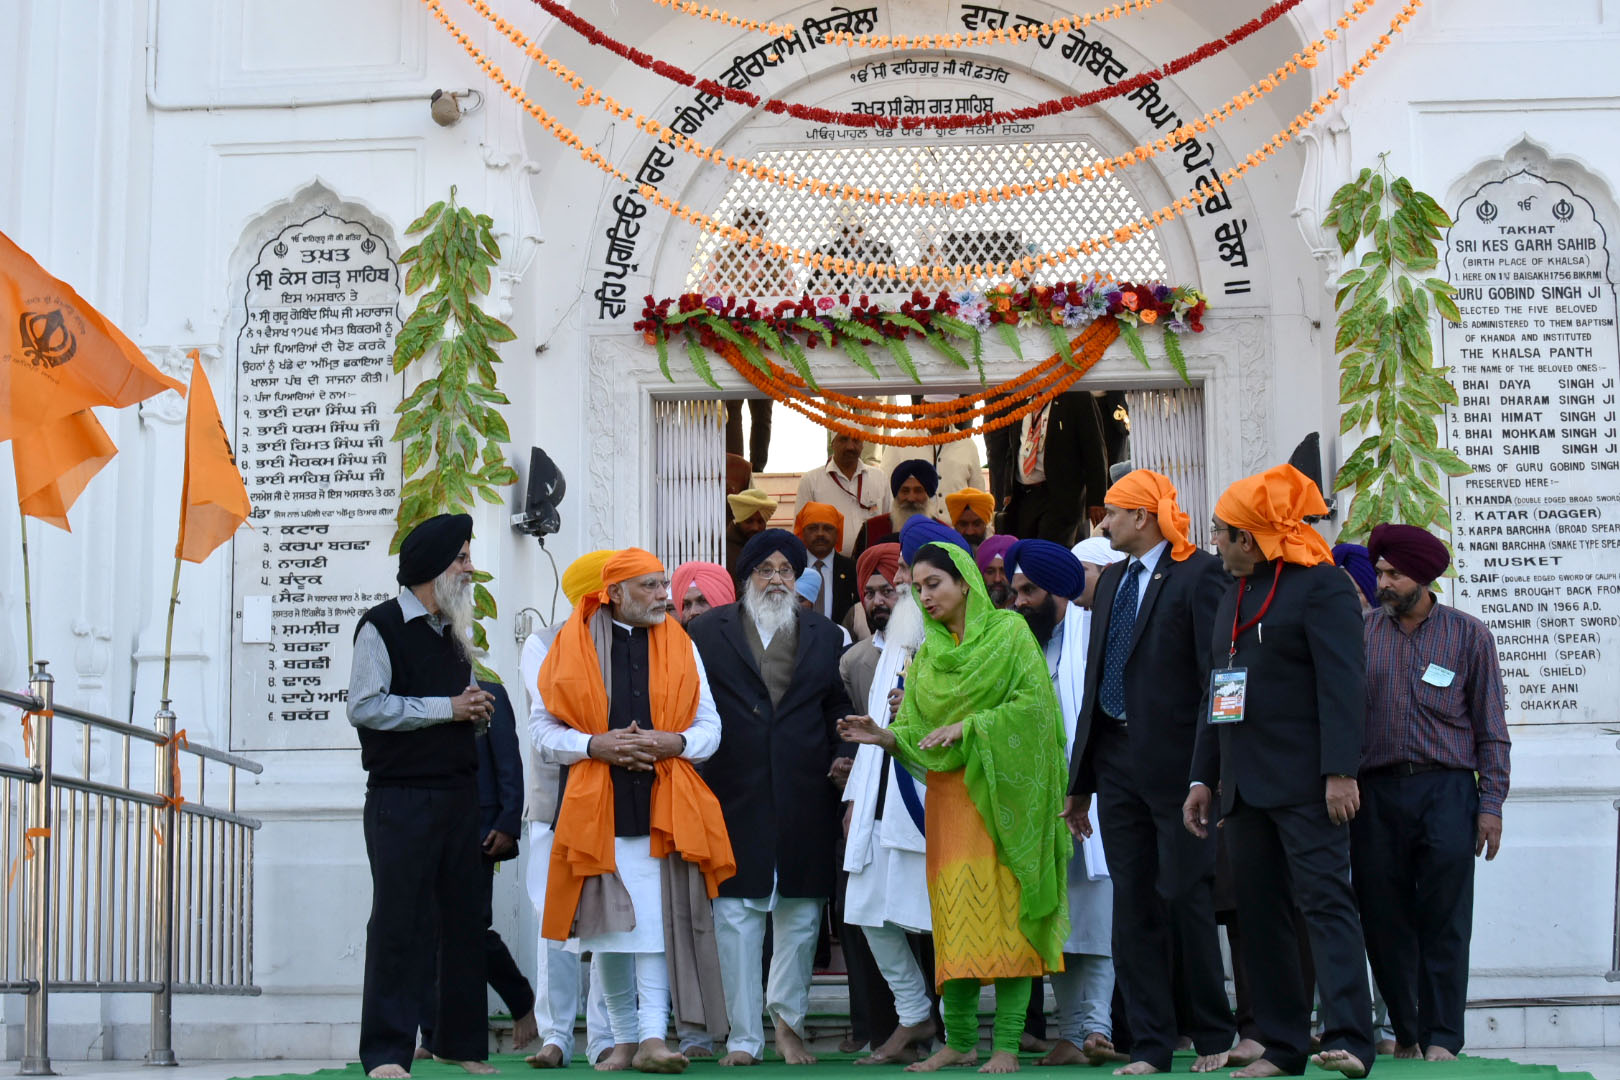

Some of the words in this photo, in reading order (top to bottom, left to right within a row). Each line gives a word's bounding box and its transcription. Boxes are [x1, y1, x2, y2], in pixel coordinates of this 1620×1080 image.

[955, 0, 1015, 35] ਵਾਹ
[1058, 24, 1132, 86] ਗੇਬਿੰਦ
[844, 59, 877, 87] ੴ
[868, 59, 892, 82] ਸੀ
[887, 55, 943, 80] ਵਾਹਿਗੁਰੂ
[941, 54, 959, 78] ਜੀ
[956, 57, 973, 80] ਕੀ
[971, 58, 1013, 87] ਫ਼ਤਹਿ
[885, 93, 903, 120] ਸੀ
[901, 90, 928, 117] ਕੇਸ
[925, 94, 953, 117] ਗੜ੍
[953, 93, 997, 117] ਸਾਹਿਬ
[801, 123, 837, 143] ਪੀਓਰੁ
[998, 118, 1038, 138] ਸਹੋਲਾ
[595, 187, 649, 281] ਪ੍ਰਗਟਿਓ
[1497, 221, 1561, 238] TAKHAT
[1208, 216, 1251, 276] ਚੇਲਾ
[1453, 234, 1479, 255] SRI
[1478, 235, 1512, 253] KES
[1512, 239, 1555, 252] GARH
[1555, 235, 1599, 252] SAHIB
[295, 245, 356, 268] ਤਖ਼ਤ
[1459, 254, 1498, 271] (BIRTH
[1497, 253, 1531, 270] PLACE
[1528, 253, 1545, 267] OF
[1545, 251, 1595, 269] KHALSA)
[251, 265, 276, 297] ਸ੍ਰੀ
[276, 262, 310, 289] ਕੇਸ
[310, 266, 345, 290] ਗੜ੍ਹ
[345, 263, 393, 287] ਸਾਹਿਬ
[1461, 269, 1485, 283] HERE
[248, 341, 272, 356] ਪੇਜਾਂ
[257, 307, 270, 325] ਸ੍ਰੀ
[270, 307, 289, 326] ਗੁਰੂ
[278, 289, 303, 307] ਇਸ
[270, 338, 322, 355] ਪਿਆਰਿਆ
[289, 305, 317, 323] ਗੋਬਿੰਦ
[289, 324, 319, 337] ੧੭੫੬
[303, 289, 347, 305] ਅਸਥਾਨ
[319, 339, 334, 355] ਦੀ
[317, 305, 341, 322] ਸਿੰਘ
[319, 321, 345, 339] ਸੰਮਤ
[333, 337, 357, 353] ਚੋਣ
[340, 305, 355, 321] ਜੀ
[345, 288, 361, 303] ਤੇ
[345, 319, 383, 337] ਬਿਕਰਮੀ
[357, 335, 389, 353] ਕਰਕੇ
[354, 304, 397, 319] ਮਹਾਰਾਜ
[383, 319, 395, 342] ਨੂੰ
[591, 277, 632, 327] ਵਹਿ
[1461, 329, 1477, 347] OF
[1458, 345, 1487, 360] THE
[1477, 329, 1520, 346] KHANDA
[1469, 317, 1529, 330] ADMINISTERED
[1487, 283, 1539, 303] GOBIND
[1502, 302, 1524, 315] THE
[1489, 345, 1544, 359] KHALSA
[1519, 330, 1541, 344] AND
[1523, 301, 1552, 315] FIVE
[1528, 316, 1548, 331] TO
[1548, 316, 1573, 330] THEM
[1537, 282, 1585, 302] SINGH
[1541, 331, 1596, 346] INSTITUTED
[1548, 345, 1599, 360] PANTH
[1551, 299, 1600, 316] BELOVED
[1585, 281, 1605, 299] JI
[1573, 315, 1617, 330] BAPTISM
[281, 372, 304, 386] ਪੰਥ
[303, 371, 325, 387] ਦੀ
[358, 369, 385, 387] ਕੀਤੀ
[1459, 376, 1494, 391] BHAI
[1497, 375, 1536, 390] DAYA
[1555, 376, 1599, 391] SINGH
[1599, 373, 1615, 391] JI
[237, 439, 252, 456] ३॰
[236, 456, 253, 473] ੪.
[239, 422, 253, 441] ੨
[241, 405, 254, 422] ੧.
[252, 435, 288, 455] ਭਾਈ
[254, 454, 287, 471] ਭਾਈ
[252, 471, 289, 487] ਭਾਈ
[254, 403, 289, 420] ਭਾਈ
[255, 421, 291, 439] ਭਾਈ
[289, 403, 323, 422] ਦਯਾ
[285, 469, 332, 489] ਸਾਹਿਬ
[290, 421, 328, 436] ਧਰਮ
[288, 435, 333, 453] ਹਿਮਤ
[286, 452, 336, 471] ਮੋੋਹਕਮ
[323, 401, 359, 418] ਸਿੰਘ
[325, 417, 361, 433] ਸਿੰਘ
[332, 433, 366, 451] ਸਿੰਘ
[329, 467, 369, 486] ਸਿੰਘ
[333, 451, 370, 468] ਸਿੰਘ
[357, 399, 380, 416] ਜੀ
[361, 415, 385, 433] ਜੀ
[362, 432, 389, 451] ਜੀ
[365, 467, 389, 485] ਜੀ
[369, 450, 389, 467] ਜੀ
[1450, 407, 1463, 426] 3.
[1450, 442, 1463, 456] 5.
[1451, 425, 1464, 442] 4.
[1461, 391, 1492, 407] BHAI
[1463, 407, 1494, 425] BHAI
[1462, 425, 1496, 445] BHAI
[1463, 442, 1495, 458] BHAI
[1462, 475, 1523, 491] PRESERVED
[1493, 460, 1514, 475] OF
[1499, 409, 1545, 424] HIMAT
[1500, 442, 1545, 457] SAHIB
[1497, 391, 1553, 408] DHARAM
[1499, 423, 1559, 442] MOHKAM
[1513, 457, 1549, 473] GURU
[1523, 473, 1551, 491] HERE
[1549, 459, 1590, 471] GOBIND
[1556, 390, 1597, 407] SINGH
[1557, 407, 1600, 425] SINGH
[1559, 423, 1600, 441] SINGH
[1559, 440, 1603, 456] SINGH
[1589, 457, 1619, 471] SINGH
[1599, 391, 1616, 407] JI
[1599, 407, 1619, 425] JI
[1601, 423, 1619, 440] JI
[1602, 439, 1619, 455] JI
[1453, 493, 1465, 508] 1.
[1460, 491, 1516, 508] KHANDA
[1451, 506, 1473, 524] 2.
[1473, 507, 1532, 524] KATAR
[1531, 505, 1604, 523] (DAGGER)
[258, 522, 277, 542] 2.
[278, 522, 332, 538] ਕਟਾਰ
[1453, 523, 1465, 537] 3
[1465, 524, 1505, 537] KARPA
[1505, 524, 1555, 536] BARCHHA
[258, 539, 275, 555] 3.
[277, 537, 325, 553] ਕਰਪਾ
[325, 537, 373, 556] ਬਰਛਾ
[1453, 539, 1468, 555] 4.
[1466, 537, 1500, 554] NAGNI
[1499, 537, 1548, 553] BARCHHA
[259, 555, 276, 573] 8.
[276, 553, 331, 571] ਨਾਗਈ
[1455, 553, 1470, 569] 5.
[1479, 553, 1567, 569] MUSKET
[258, 571, 276, 589] U.
[276, 571, 326, 591] ਬੰਦੂਕ
[1455, 568, 1469, 589] 6.
[1467, 570, 1502, 587] SAIF
[277, 587, 306, 603] मैढ
[1455, 587, 1475, 599] 4.
[1475, 585, 1510, 600] ARMS
[1510, 585, 1564, 601] BROUGHT
[1563, 582, 1593, 598] BACK
[1477, 601, 1535, 617] ENGLAND
[1551, 597, 1580, 611] 1966
[1580, 598, 1605, 611] A.D.
[280, 619, 343, 638] ਸ਼ਮਸ਼ੀਰ
[1533, 611, 1619, 632] (SHORTSWORD)
[262, 673, 278, 691] 8.
[265, 656, 279, 672] ੩.
[265, 689, 280, 707] ੫.
[265, 640, 281, 656] 2.
[279, 687, 317, 707] ਦਾਹੇ
[279, 671, 324, 688] ਢਾਲ
[280, 654, 333, 671] ਥਰਛੀ
[280, 638, 335, 655] ਥਰਛਾ
[1495, 631, 1551, 649] BARCHHA
[1496, 645, 1553, 663] BARCHHI
[1513, 680, 1551, 699] DAYE
[1517, 695, 1583, 715] CHAKKAR
[1535, 663, 1595, 681] (SHIELD)
[1548, 681, 1583, 695] AHNI
[1551, 629, 1606, 647] (SPEAR)
[1551, 645, 1607, 663] (SPEAR)
[263, 707, 278, 724] ੬.
[279, 707, 332, 723] ਚਕੱਰ